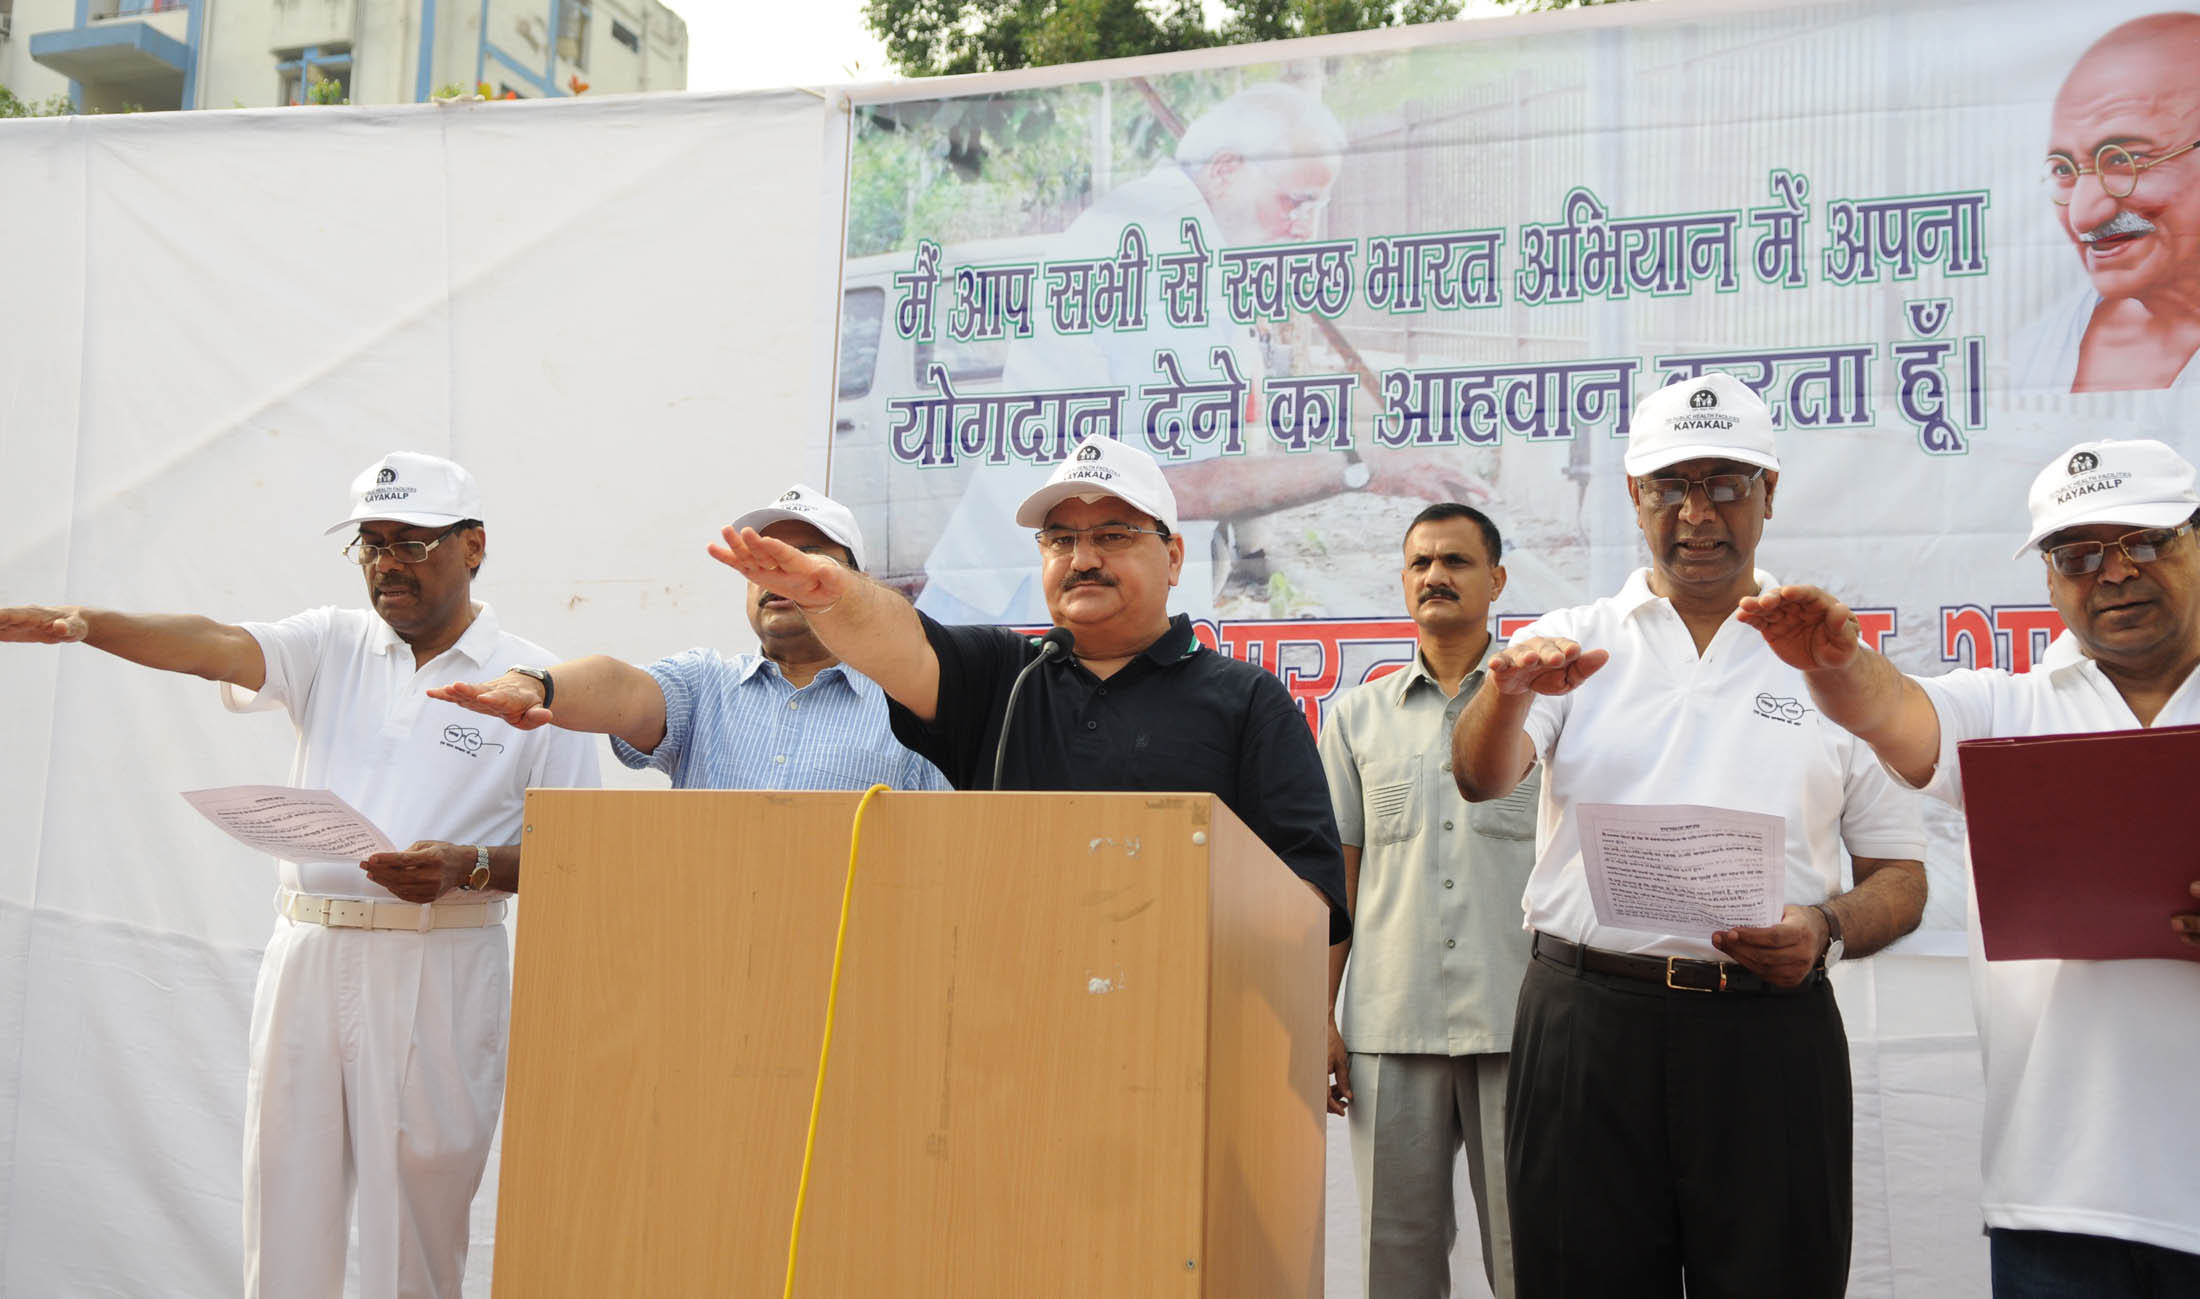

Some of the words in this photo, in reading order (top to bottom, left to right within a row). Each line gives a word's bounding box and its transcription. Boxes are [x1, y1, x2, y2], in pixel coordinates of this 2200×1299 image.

[890, 233, 947, 346] मैं
[942, 257, 1041, 346] आप
[1048, 215, 1154, 340] सभी
[1151, 213, 1220, 330] से
[1216, 234, 1357, 326] स्वच्छ
[1358, 226, 1507, 315] भारत
[1509, 182, 1745, 311] अभियान
[1747, 165, 1812, 292] में
[1818, 186, 1991, 291] अपना
[879, 354, 1130, 474] योगदान
[1129, 342, 1257, 469] देने
[1261, 370, 1364, 464] का
[1371, 356, 1640, 455] आहवान
[1651, 345, 1880, 445] करता
[1876, 292, 1993, 460] हूँ।
[2055, 472, 2129, 514] KAYAKALP